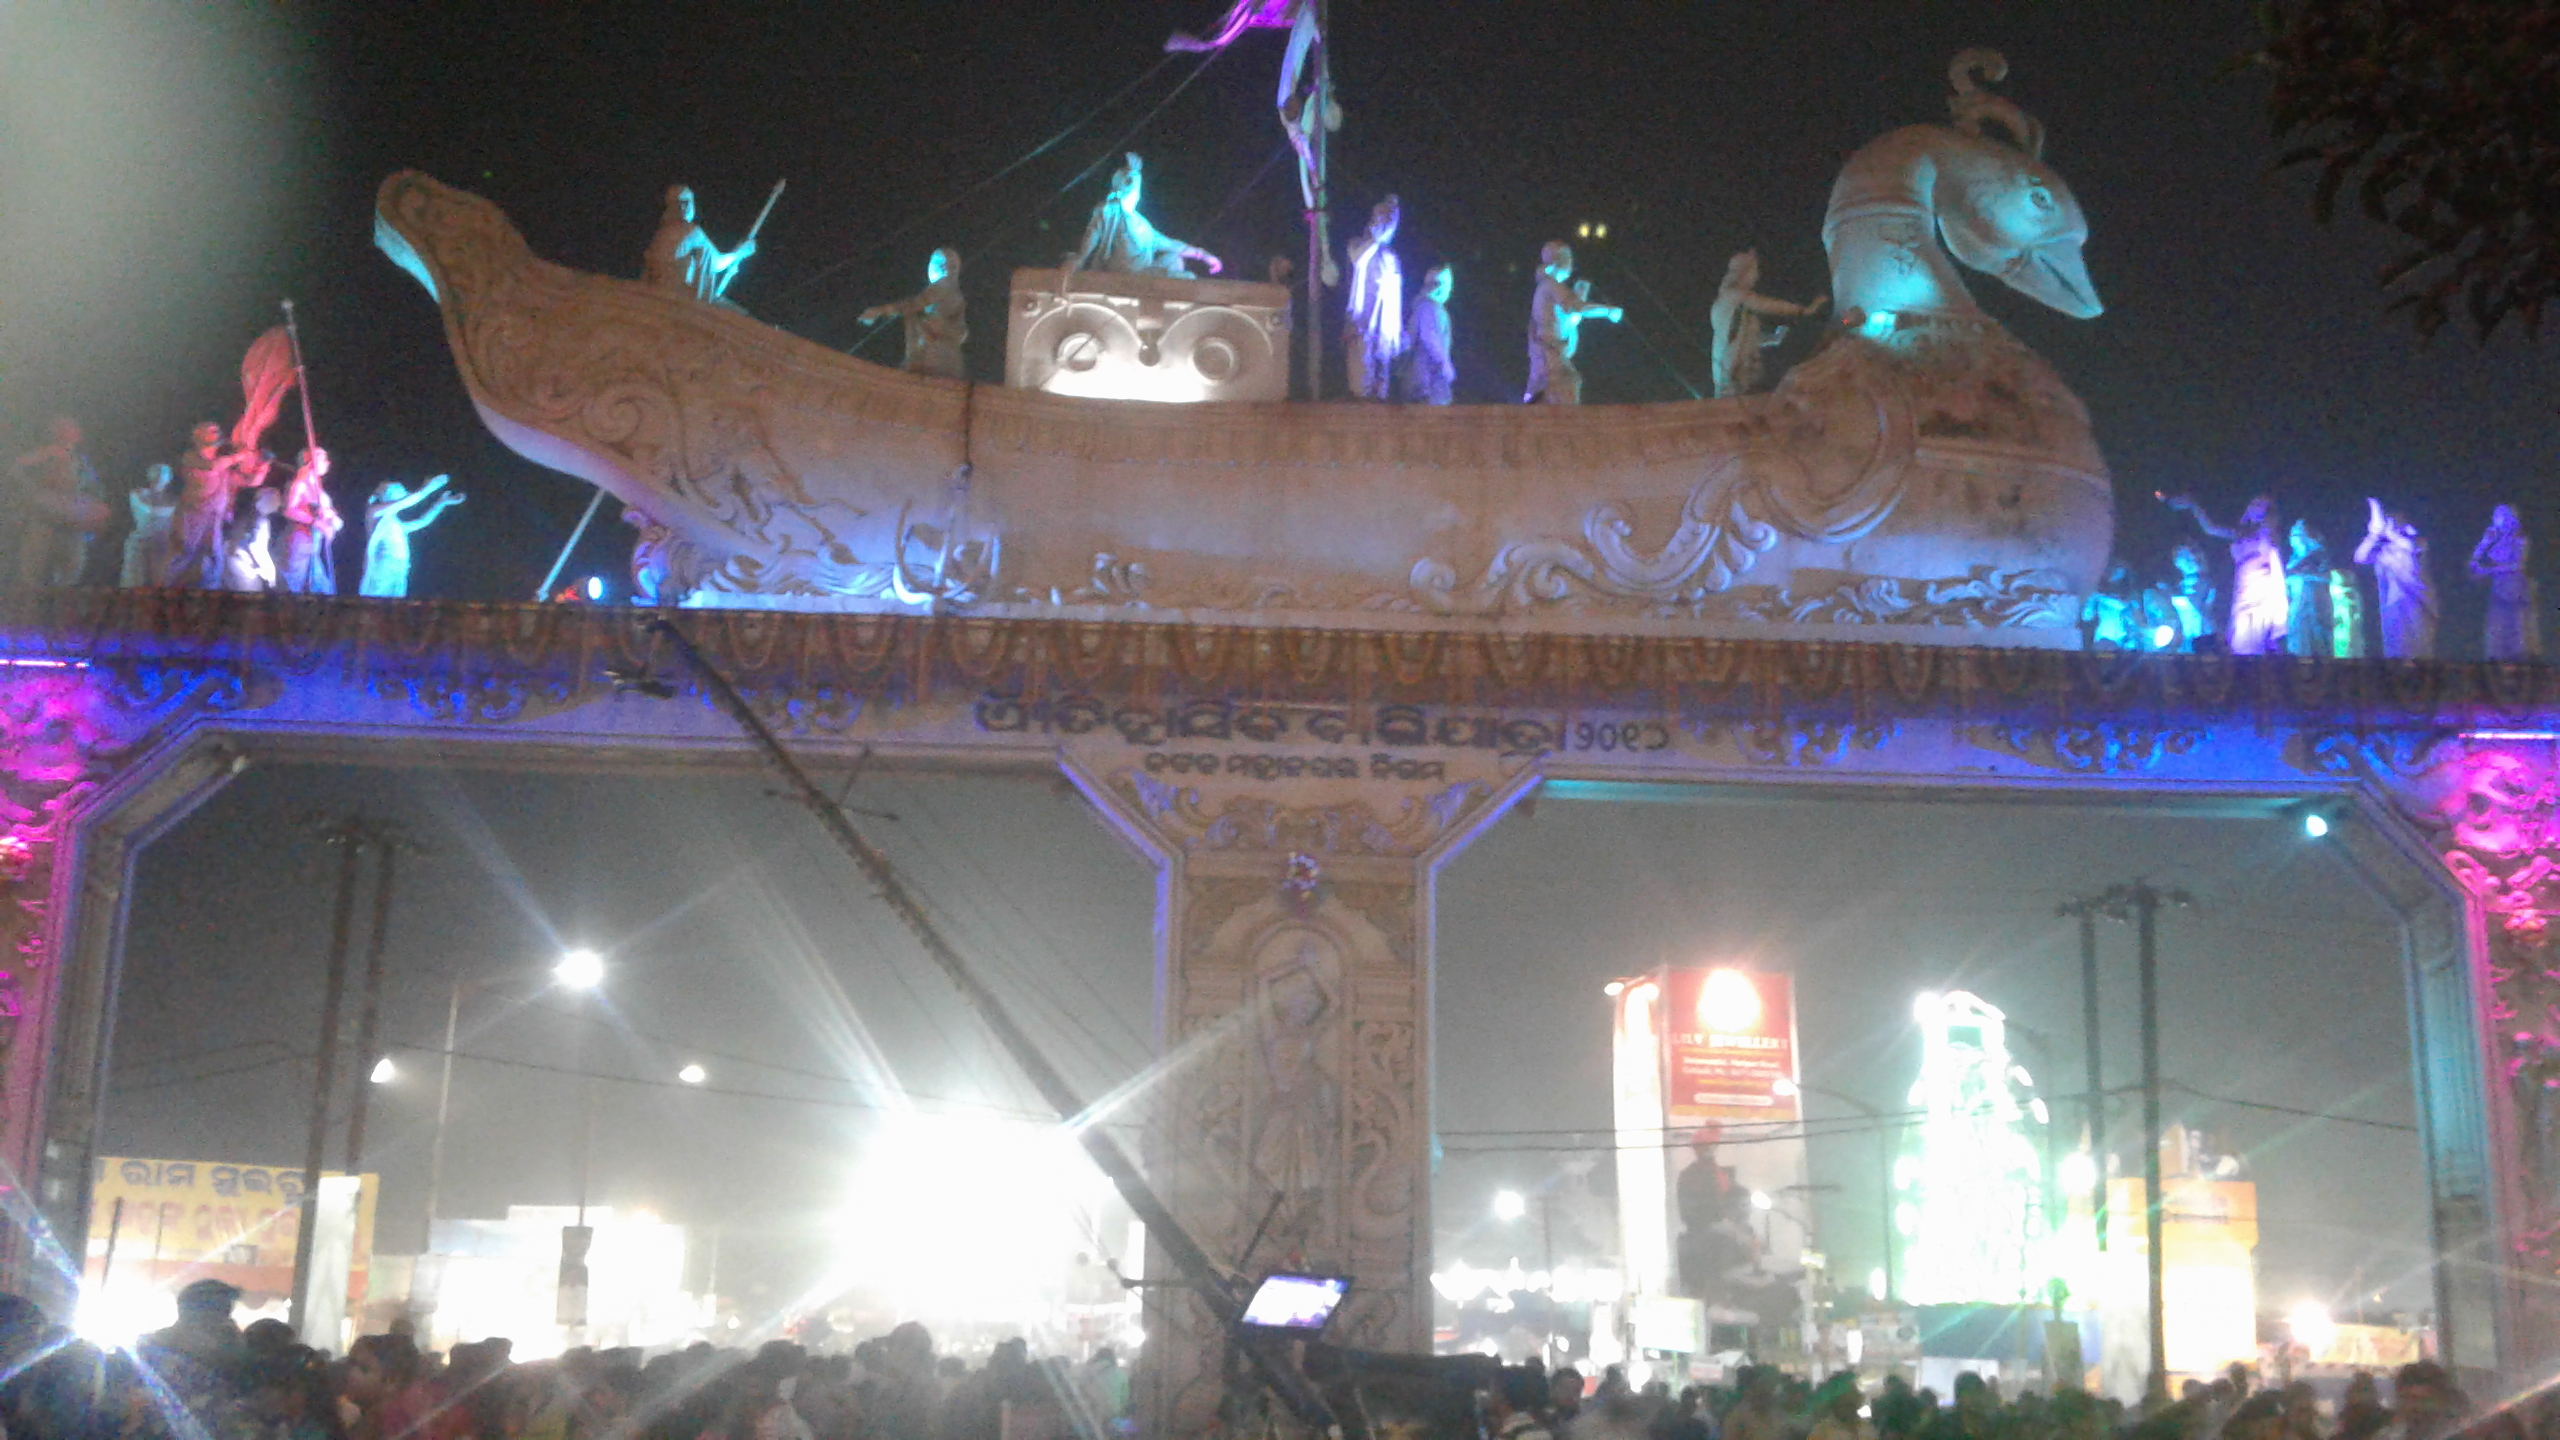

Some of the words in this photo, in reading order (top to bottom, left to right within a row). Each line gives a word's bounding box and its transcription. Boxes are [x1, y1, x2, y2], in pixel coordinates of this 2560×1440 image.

[1573, 708, 1672, 761] ୨୦୧)
[1135, 740, 1363, 789] କଟକ ମହାନଗର